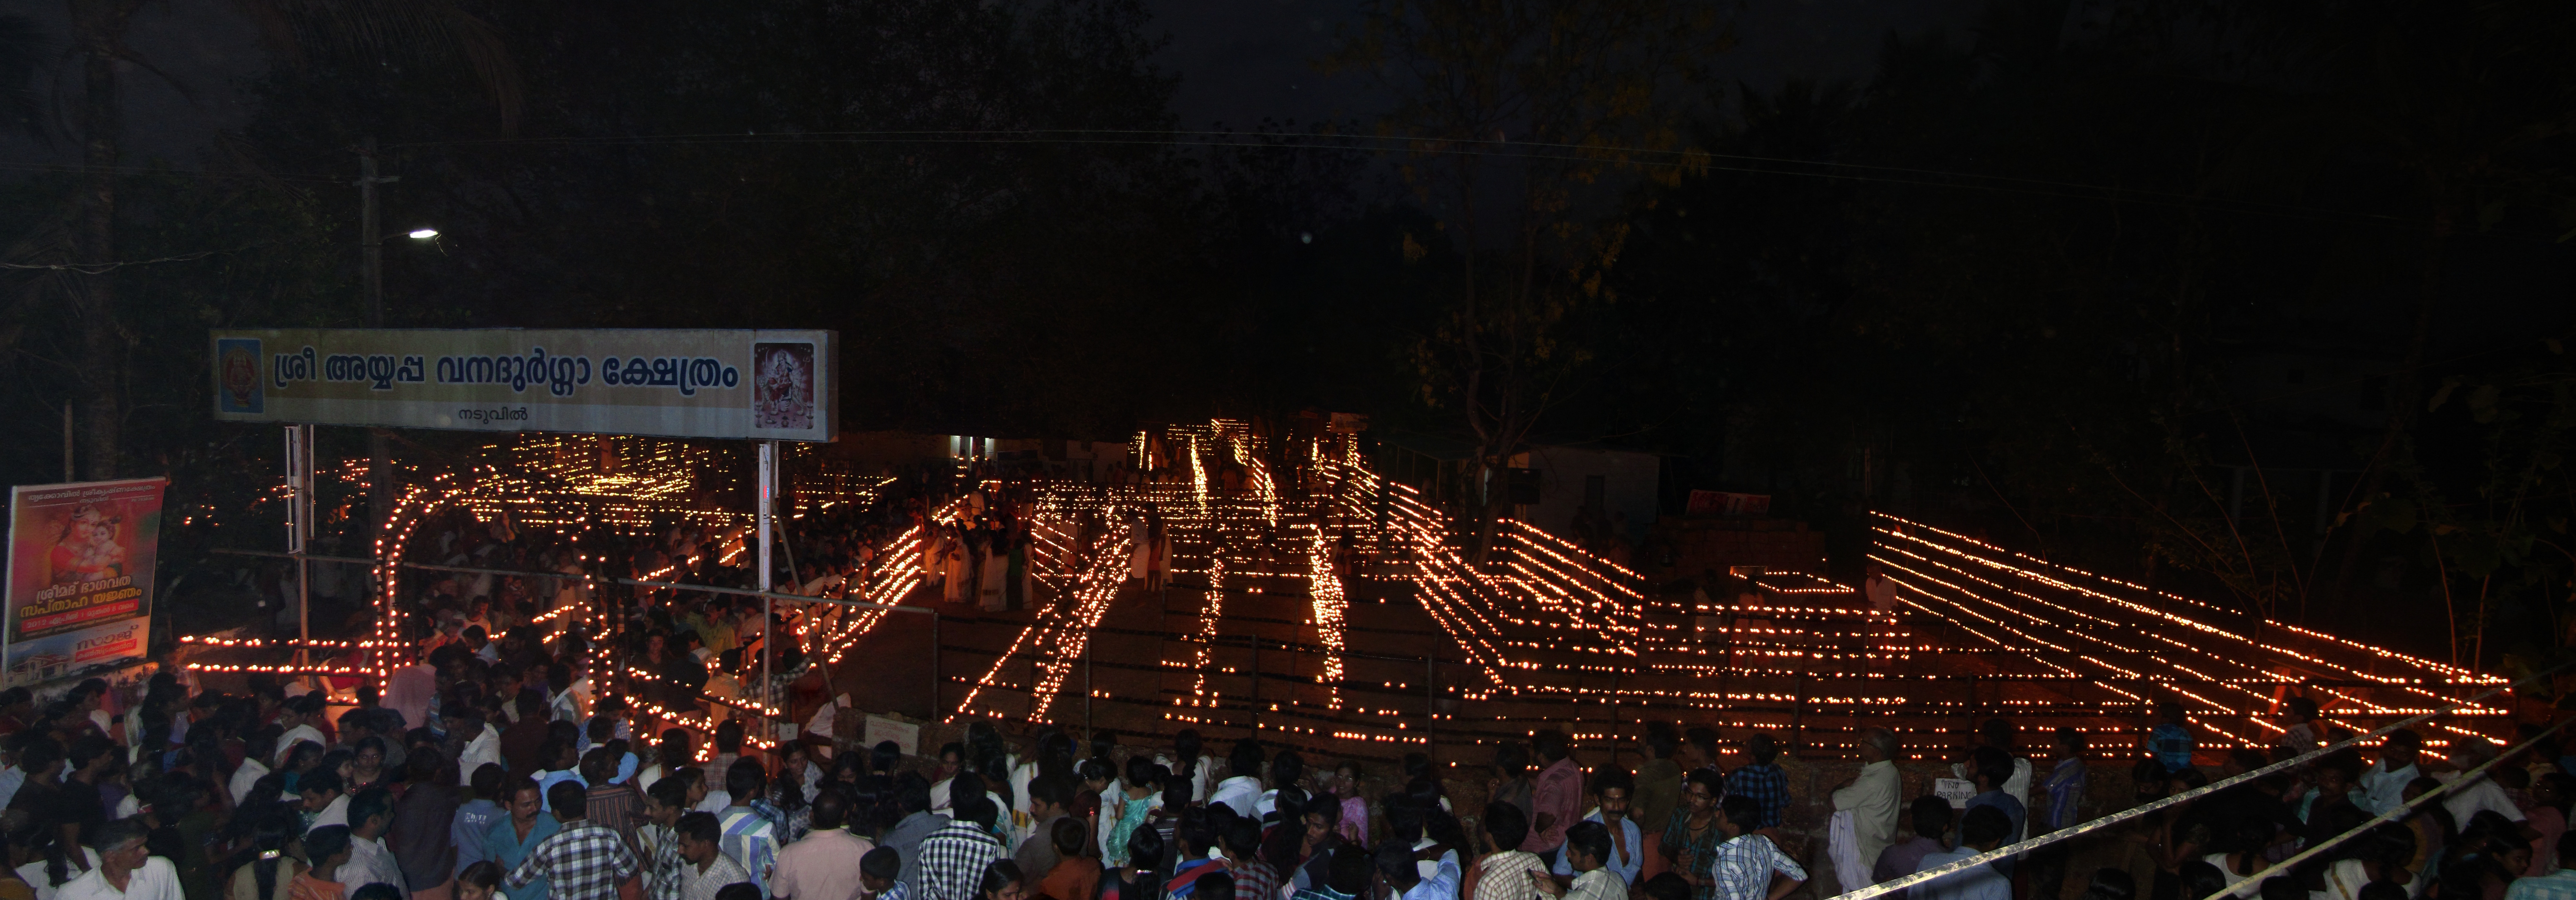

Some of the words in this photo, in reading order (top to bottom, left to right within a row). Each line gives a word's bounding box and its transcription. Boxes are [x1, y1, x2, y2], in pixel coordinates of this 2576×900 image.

[269, 341, 320, 389] ശ്രീ
[324, 350, 427, 394] അയ്യപ്പ
[434, 341, 593, 399] വനദുർഗ്ഗാ
[596, 352, 740, 397] ക്ഷേത്രം
[455, 402, 530, 425] നടുവിൽ
[26, 488, 82, 503] ത്യക്കോവിൽ
[78, 495, 110, 505] നടുവിൽ
[81, 485, 157, 499] ശ്രീകൃഷ്‌ണക്ഷേത്രം
[26, 618, 48, 629] 2012
[18, 596, 89, 619] സപ്‌താഹ
[34, 580, 81, 605] ശ്രീമദ്
[47, 611, 80, 626] ഏപ്രിൽ
[87, 605, 112, 619] മുതൽ
[79, 574, 132, 595] ഭാഗവത
[110, 604, 117, 613] 8
[92, 586, 143, 606] യജ്ഞം
[117, 601, 135, 612] വരെ
[75, 621, 140, 652] നാറജ്
[75, 639, 135, 661] കൺസ്ട്രക്ഷൻസ്